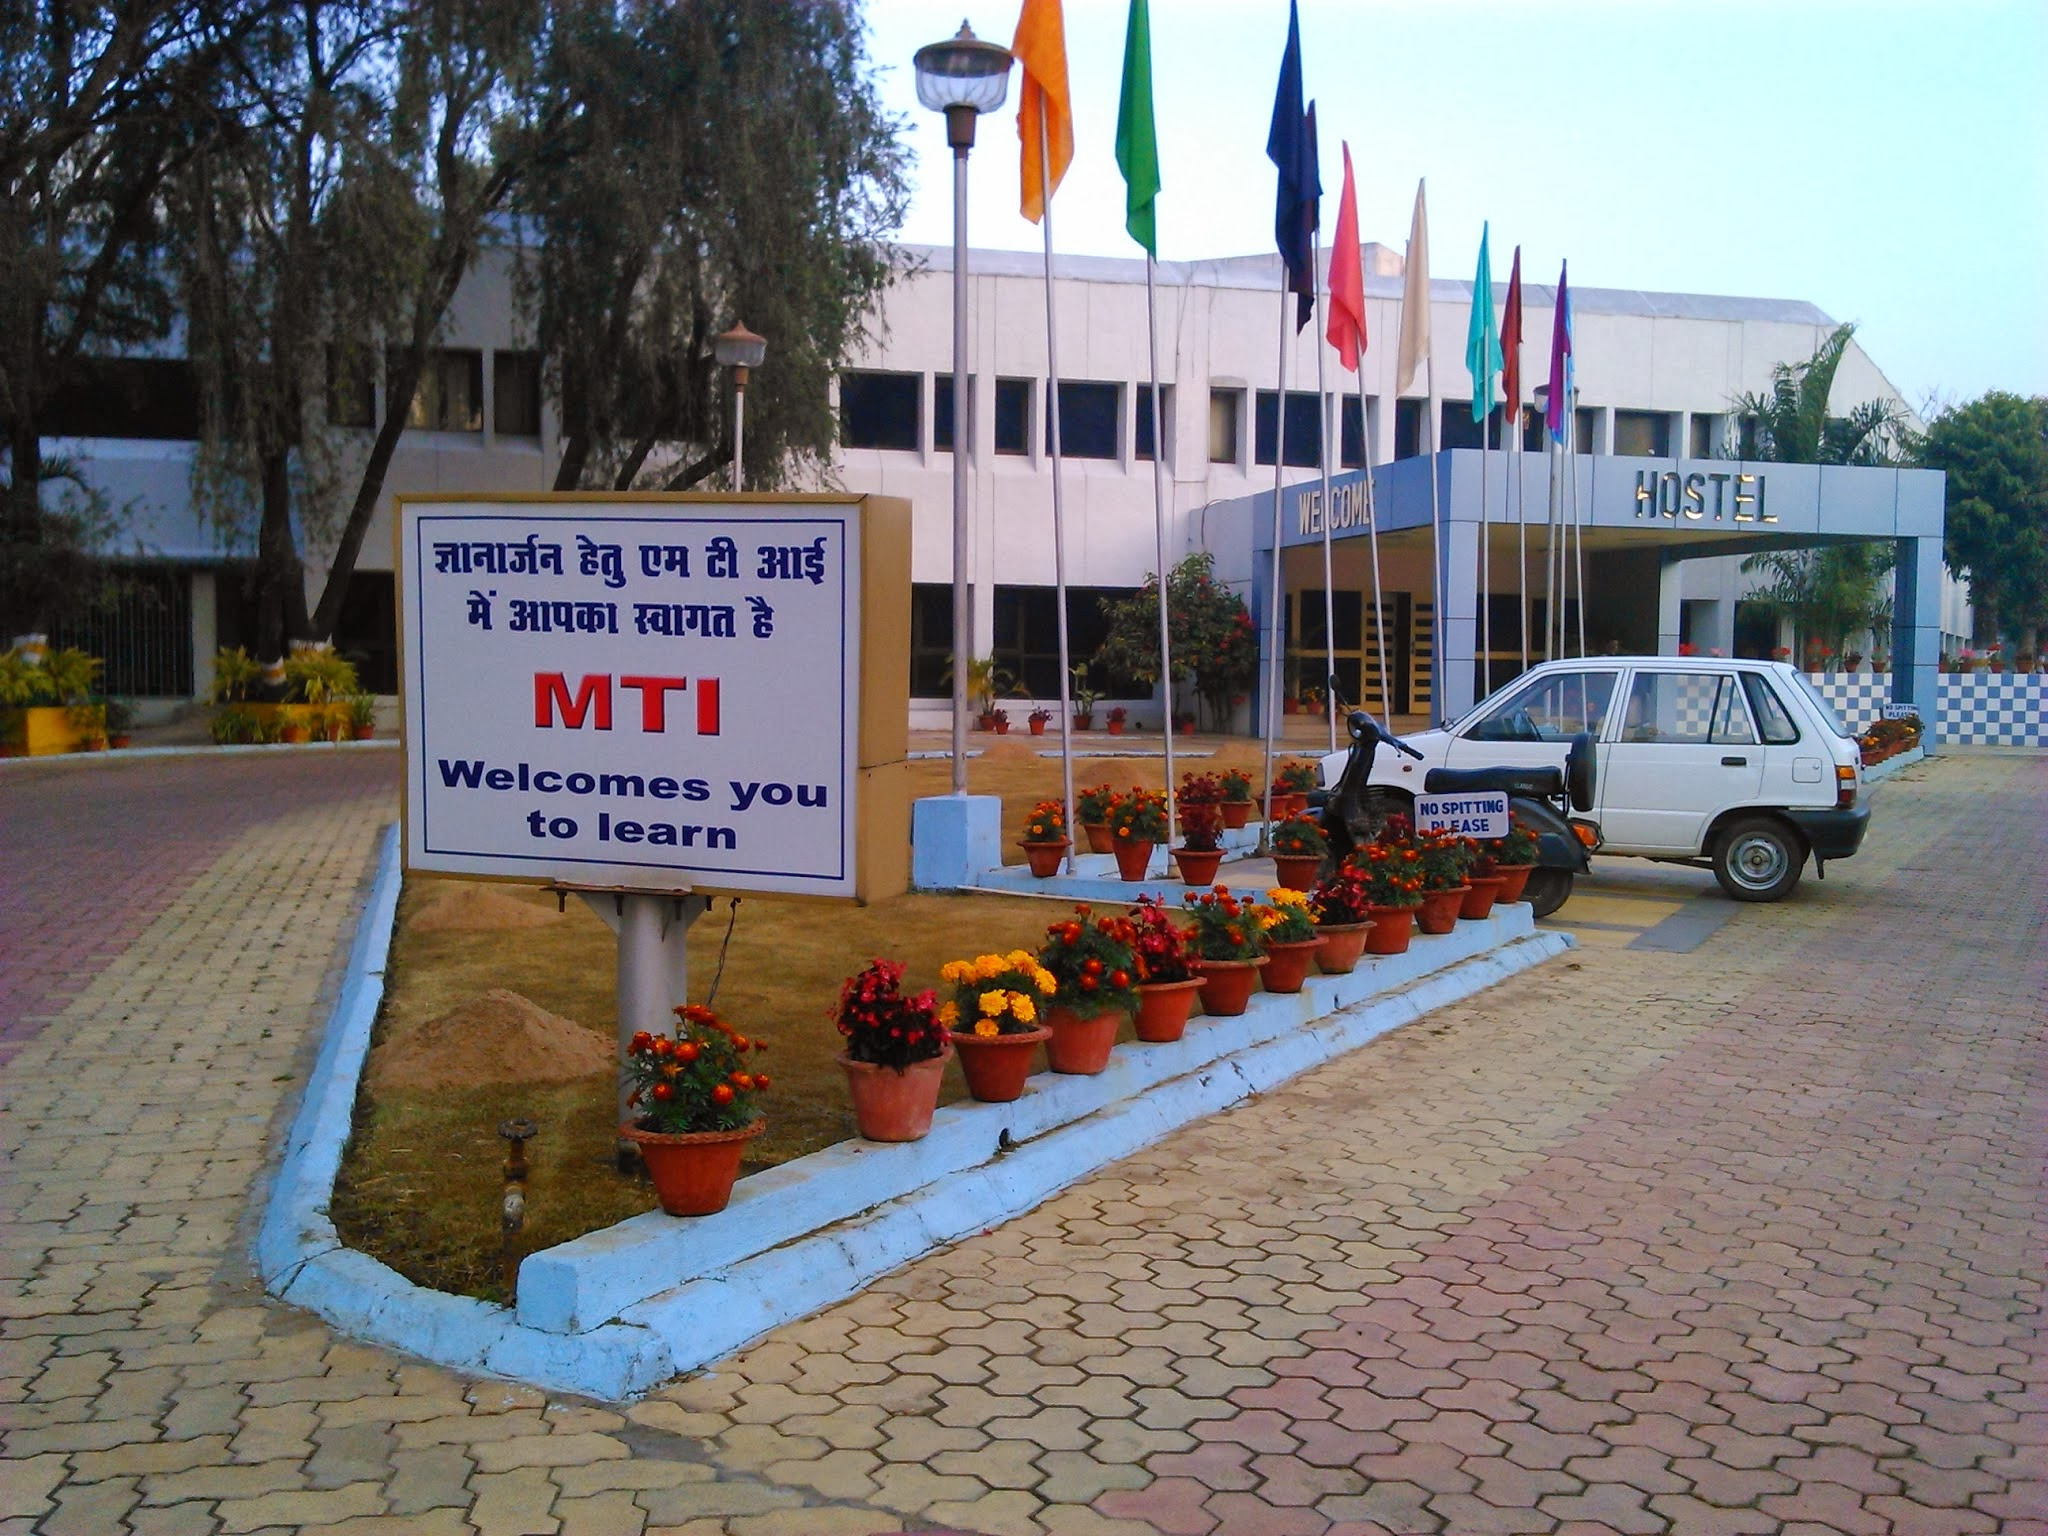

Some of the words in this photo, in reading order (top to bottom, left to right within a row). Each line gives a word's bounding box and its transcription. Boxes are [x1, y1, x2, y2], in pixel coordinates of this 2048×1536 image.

[1296, 474, 1383, 538] WELCOME
[1629, 465, 1786, 526] HOSTEL
[427, 523, 569, 581] ज्ञानार्जन
[563, 527, 631, 593] हेतु
[632, 539, 693, 584] एम
[695, 524, 746, 583] टी
[753, 528, 837, 591] आई
[456, 579, 502, 638] में
[502, 593, 627, 642] आपका
[628, 598, 740, 641] स्वागत
[730, 585, 779, 645] है
[531, 663, 726, 742] MTI
[520, 799, 583, 847] to
[433, 756, 715, 806] Welcomes
[593, 807, 745, 855] learn
[720, 777, 831, 817] you
[1418, 797, 1443, 821] NO
[1427, 813, 1496, 835] PLEASE
[1437, 793, 1507, 817] SPITTING